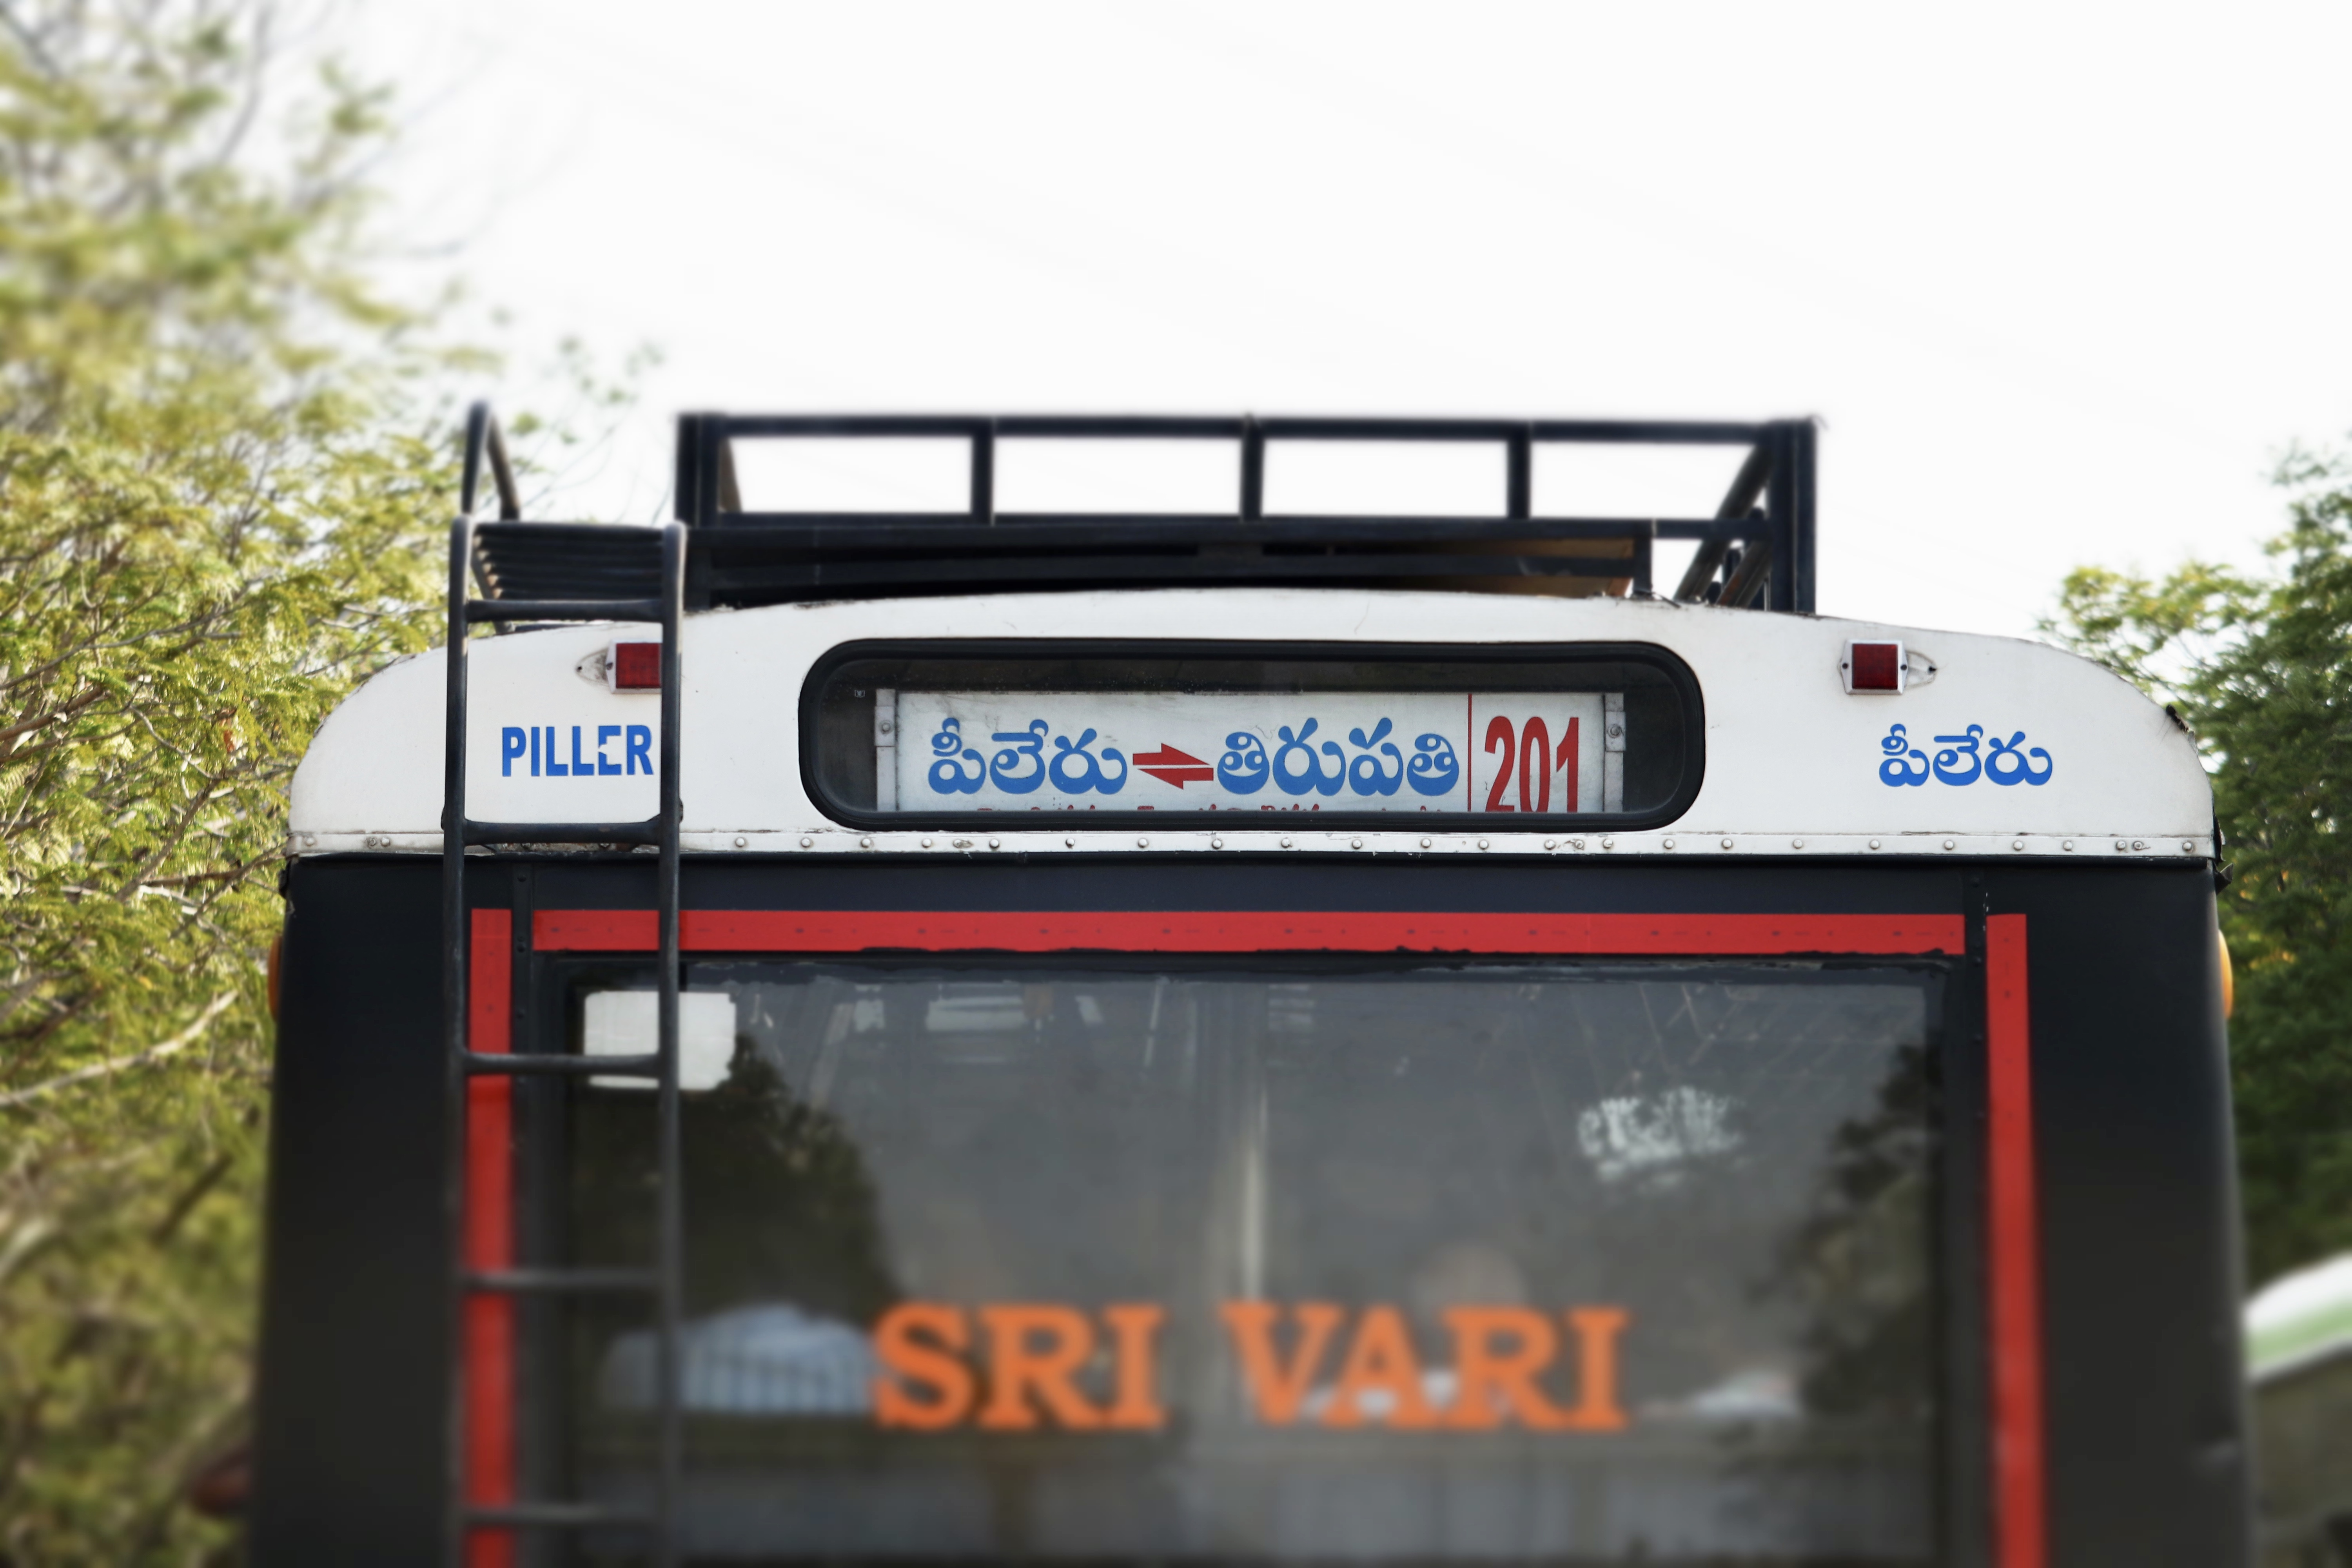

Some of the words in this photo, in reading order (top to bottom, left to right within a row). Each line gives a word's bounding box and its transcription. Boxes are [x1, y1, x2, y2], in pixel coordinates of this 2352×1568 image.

[500, 722, 656, 780] PILLER
[925, 711, 1132, 799] పీలేరు
[1213, 713, 1461, 797] తిరుపతి
[1464, 703, 1596, 822] 201
[1864, 713, 2060, 793] పీలేరు
[857, 1272, 1180, 1455] SRI
[1220, 1263, 1646, 1438] VARI